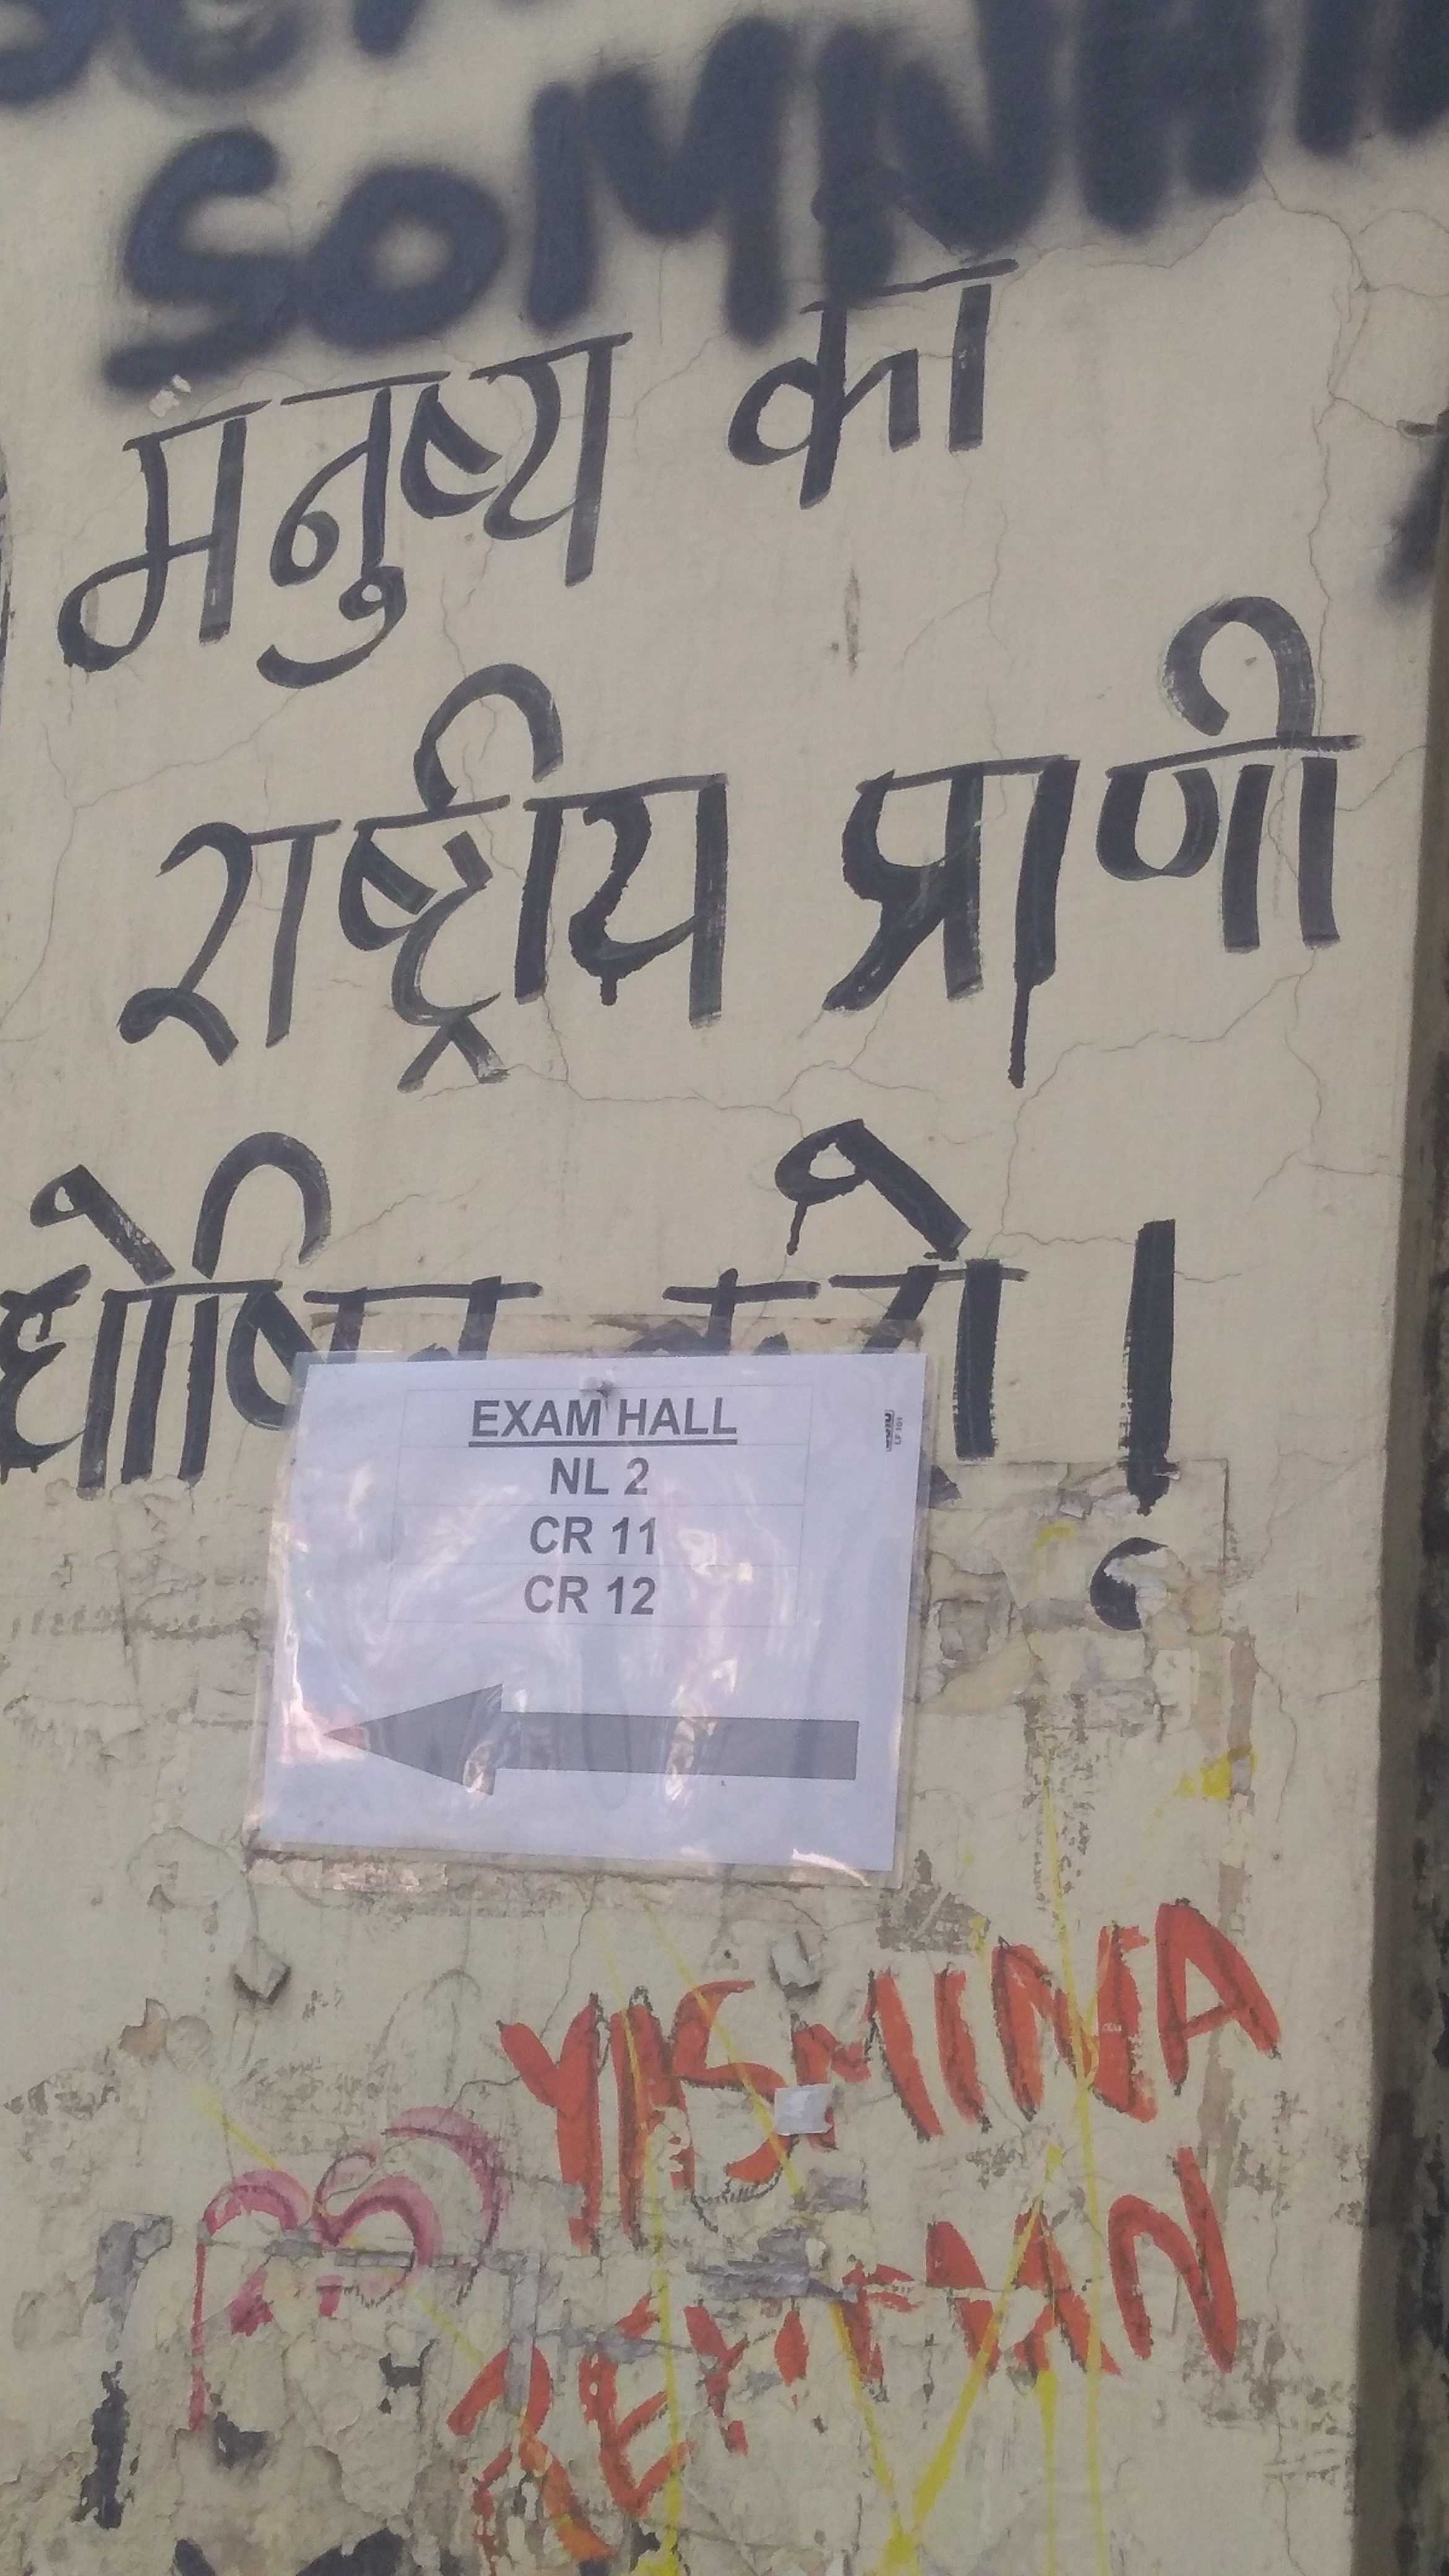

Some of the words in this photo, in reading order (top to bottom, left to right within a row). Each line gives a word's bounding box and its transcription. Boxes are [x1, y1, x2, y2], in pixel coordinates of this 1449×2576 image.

[48, 328, 640, 695] मनुष्य
[717, 254, 1025, 519] का
[109, 816, 343, 1074] रा
[332, 660, 736, 1097] ष्ट्रीय
[815, 592, 1371, 1092] प्राणी
[464, 1392, 607, 1443] EXAM
[518, 1573, 663, 1621] CR12
[525, 1510, 660, 1563] CR11
[540, 1450, 655, 1502] NL2
[612, 1395, 747, 1439] HALL